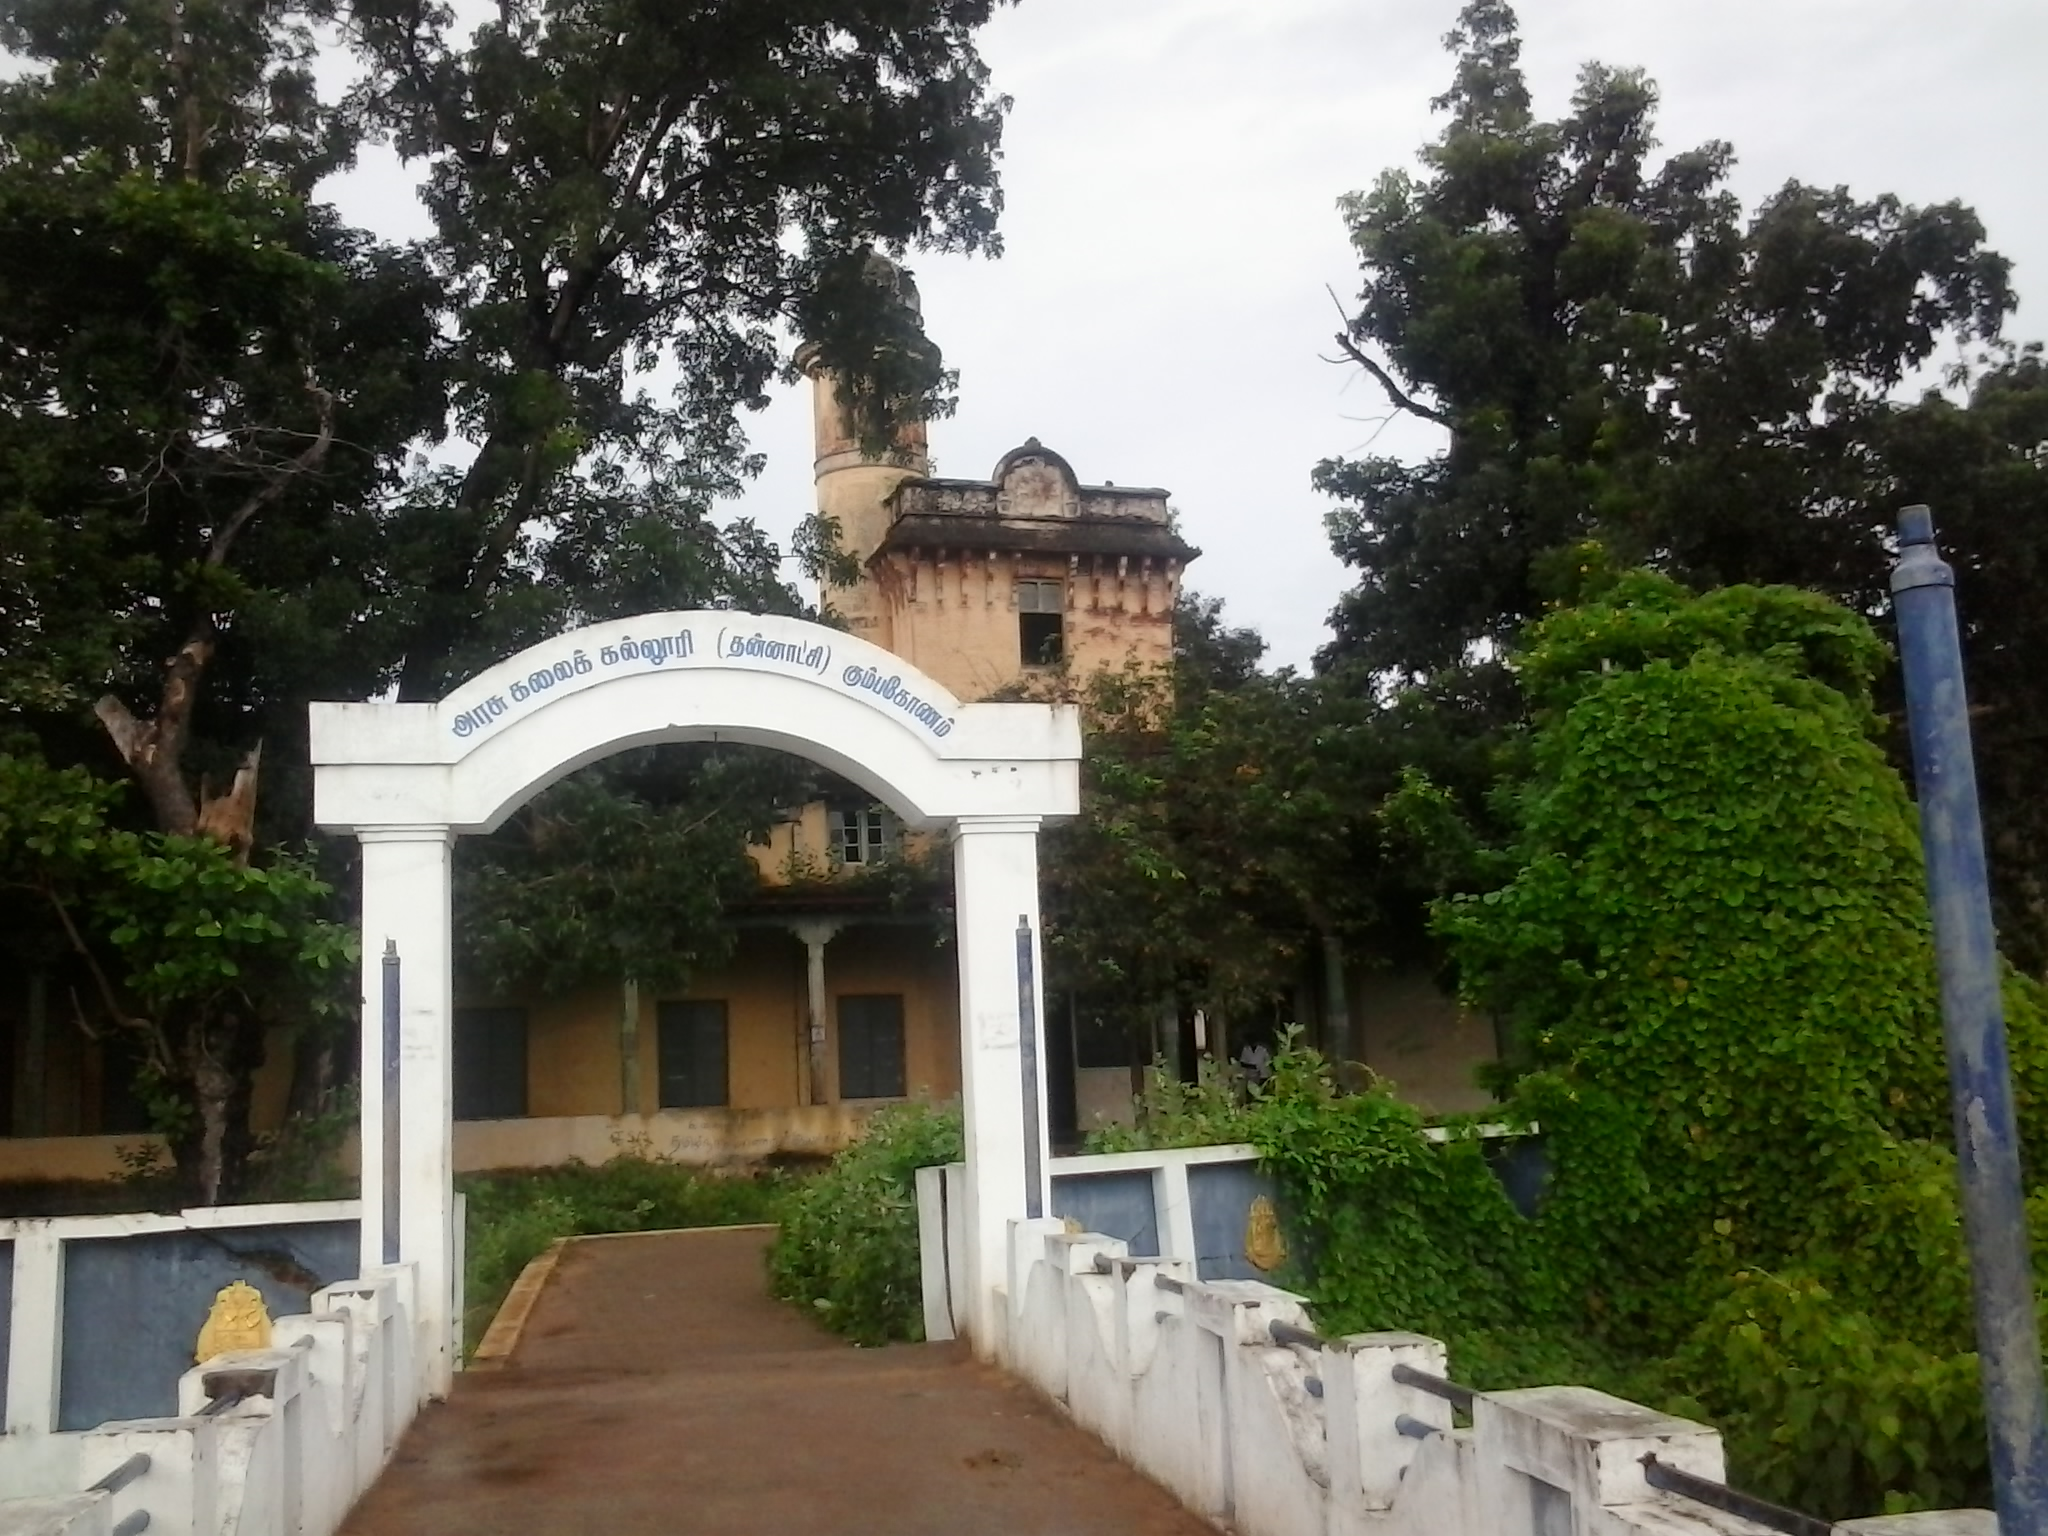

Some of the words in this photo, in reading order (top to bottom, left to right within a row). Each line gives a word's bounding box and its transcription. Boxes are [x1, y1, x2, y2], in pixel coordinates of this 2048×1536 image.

[448, 691, 510, 743] அரசு
[498, 638, 597, 711] கலைக்
[595, 627, 699, 671] கல்லூரி
[720, 625, 831, 674] தன்னாட்சி
[835, 655, 959, 743] கும்பகோணம்